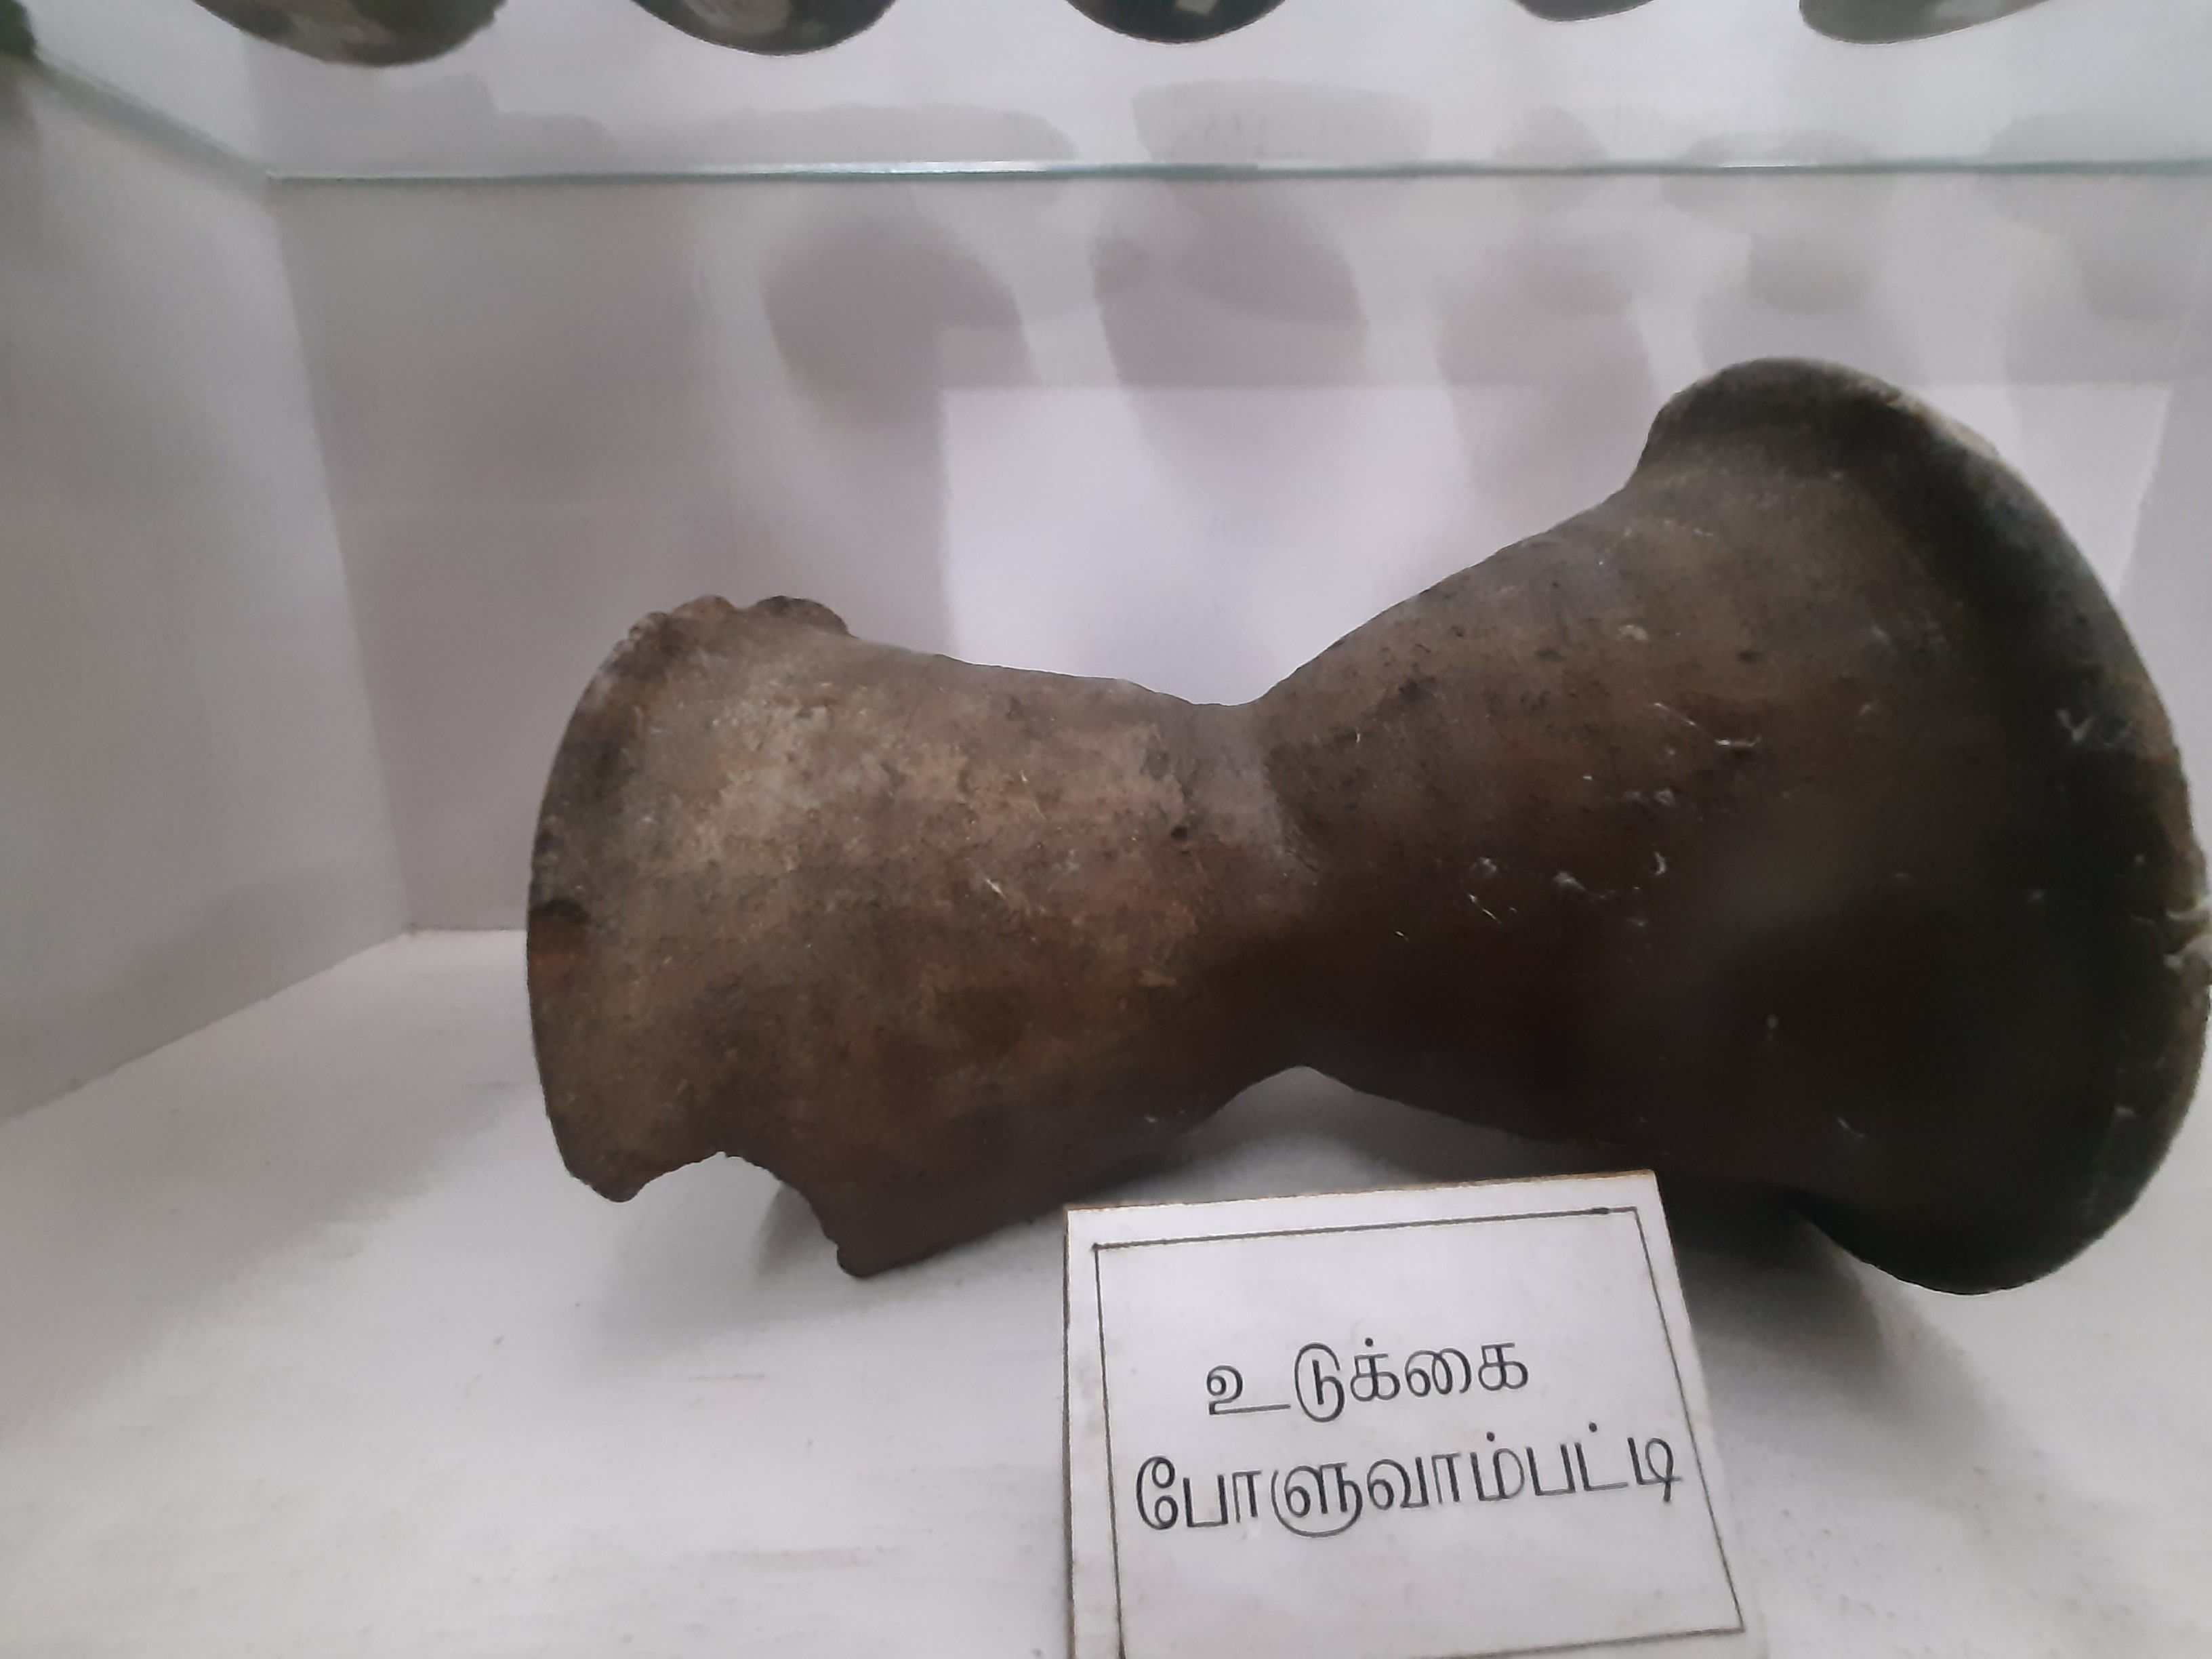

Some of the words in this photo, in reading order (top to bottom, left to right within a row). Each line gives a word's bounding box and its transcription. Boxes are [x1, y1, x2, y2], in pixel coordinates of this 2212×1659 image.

[1198, 1331, 1533, 1428] உடுக்கை
[1130, 1418, 1687, 1546] போளுவாம்பட்டி